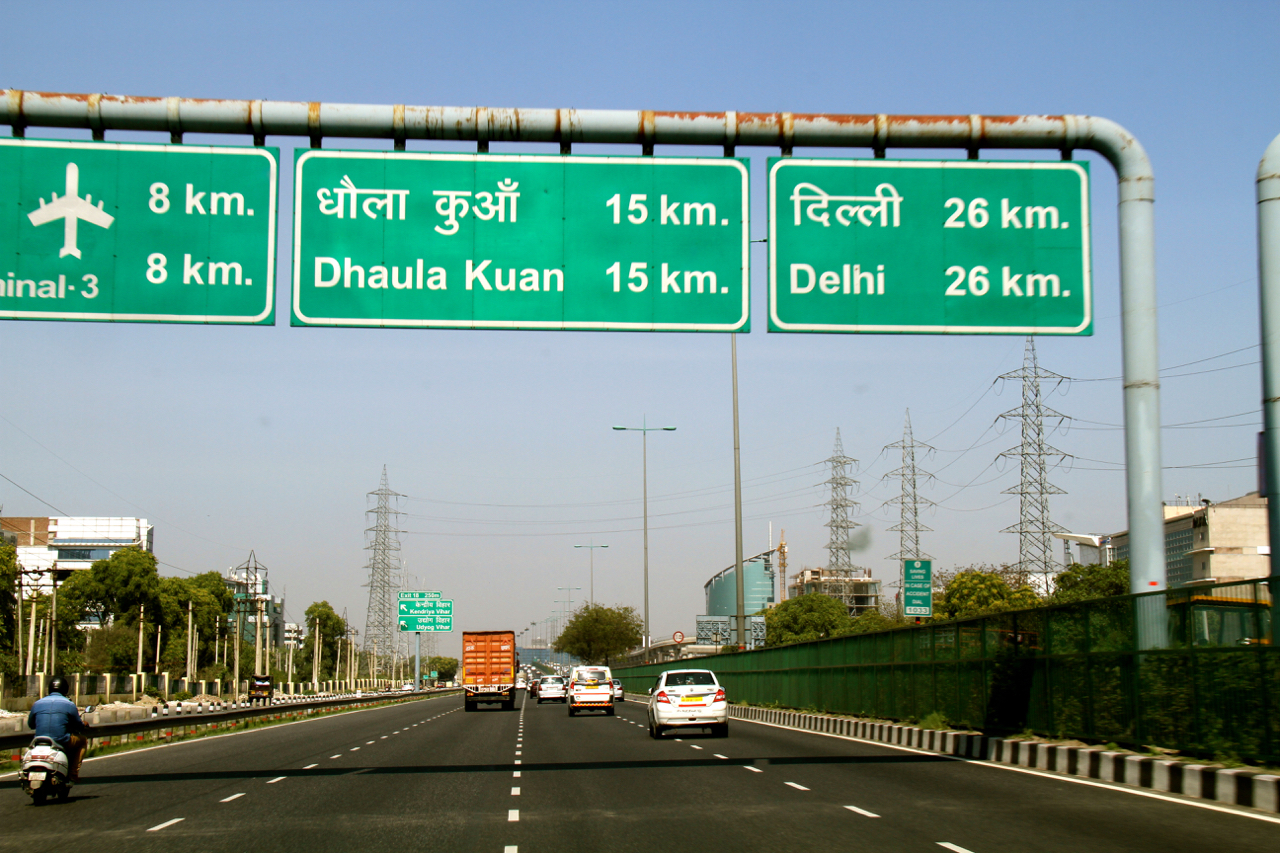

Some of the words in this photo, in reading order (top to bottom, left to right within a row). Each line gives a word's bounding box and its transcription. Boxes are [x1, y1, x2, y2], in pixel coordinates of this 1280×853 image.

[142, 177, 177, 219] 8
[182, 180, 253, 221] km.
[312, 169, 413, 223] धौला
[431, 172, 525, 240] कुआँ
[599, 187, 651, 228] 15
[656, 188, 723, 230] km
[787, 180, 906, 233] दिल्ली
[936, 191, 993, 233] 26
[994, 195, 1071, 235] km.
[141, 247, 175, 291] 8
[177, 249, 250, 290] km.
[309, 252, 451, 292] Dhaula
[463, 254, 568, 299] Kuan
[601, 257, 653, 297] 15
[659, 256, 722, 298] km
[789, 255, 891, 298] Delhi
[938, 260, 994, 302] 26
[998, 263, 1067, 302] km.